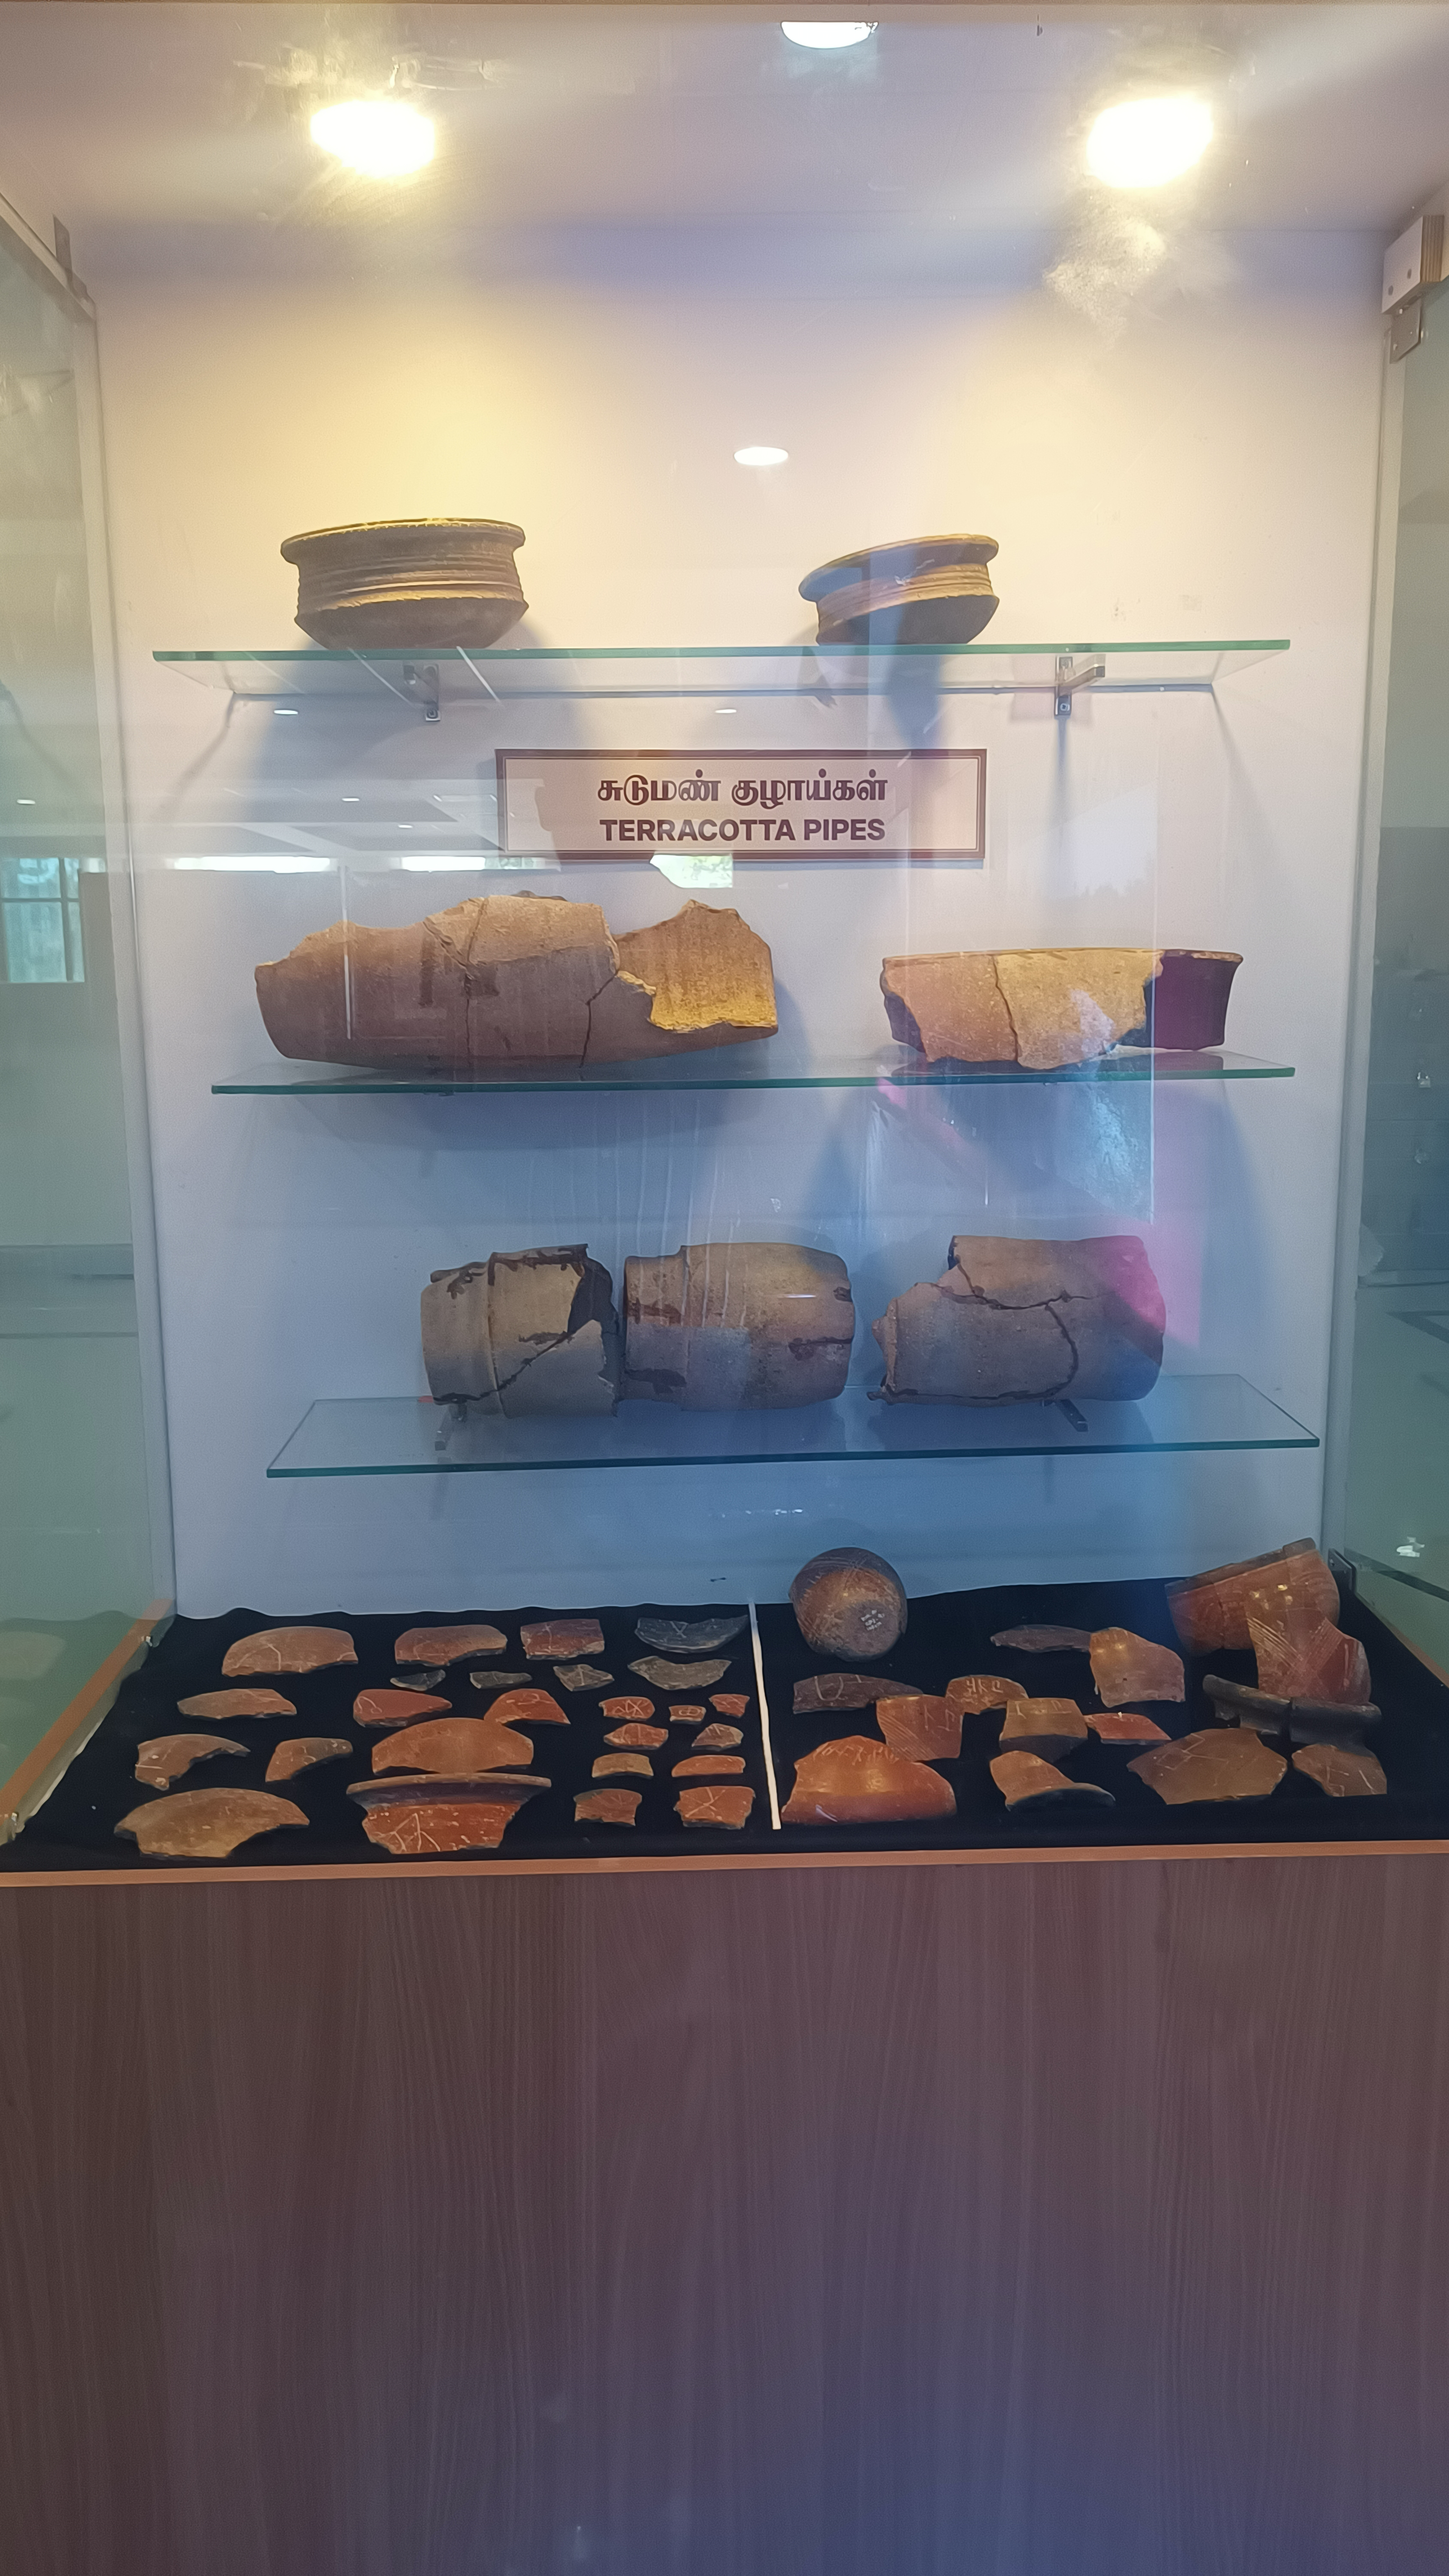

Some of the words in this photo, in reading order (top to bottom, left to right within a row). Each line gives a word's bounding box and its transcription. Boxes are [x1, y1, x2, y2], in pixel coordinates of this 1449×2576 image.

[596, 766, 724, 808] சுடுமண்
[729, 766, 891, 812] குழாய்கள்
[598, 817, 797, 843] TERRACOTTA
[801, 817, 887, 843] PIPES